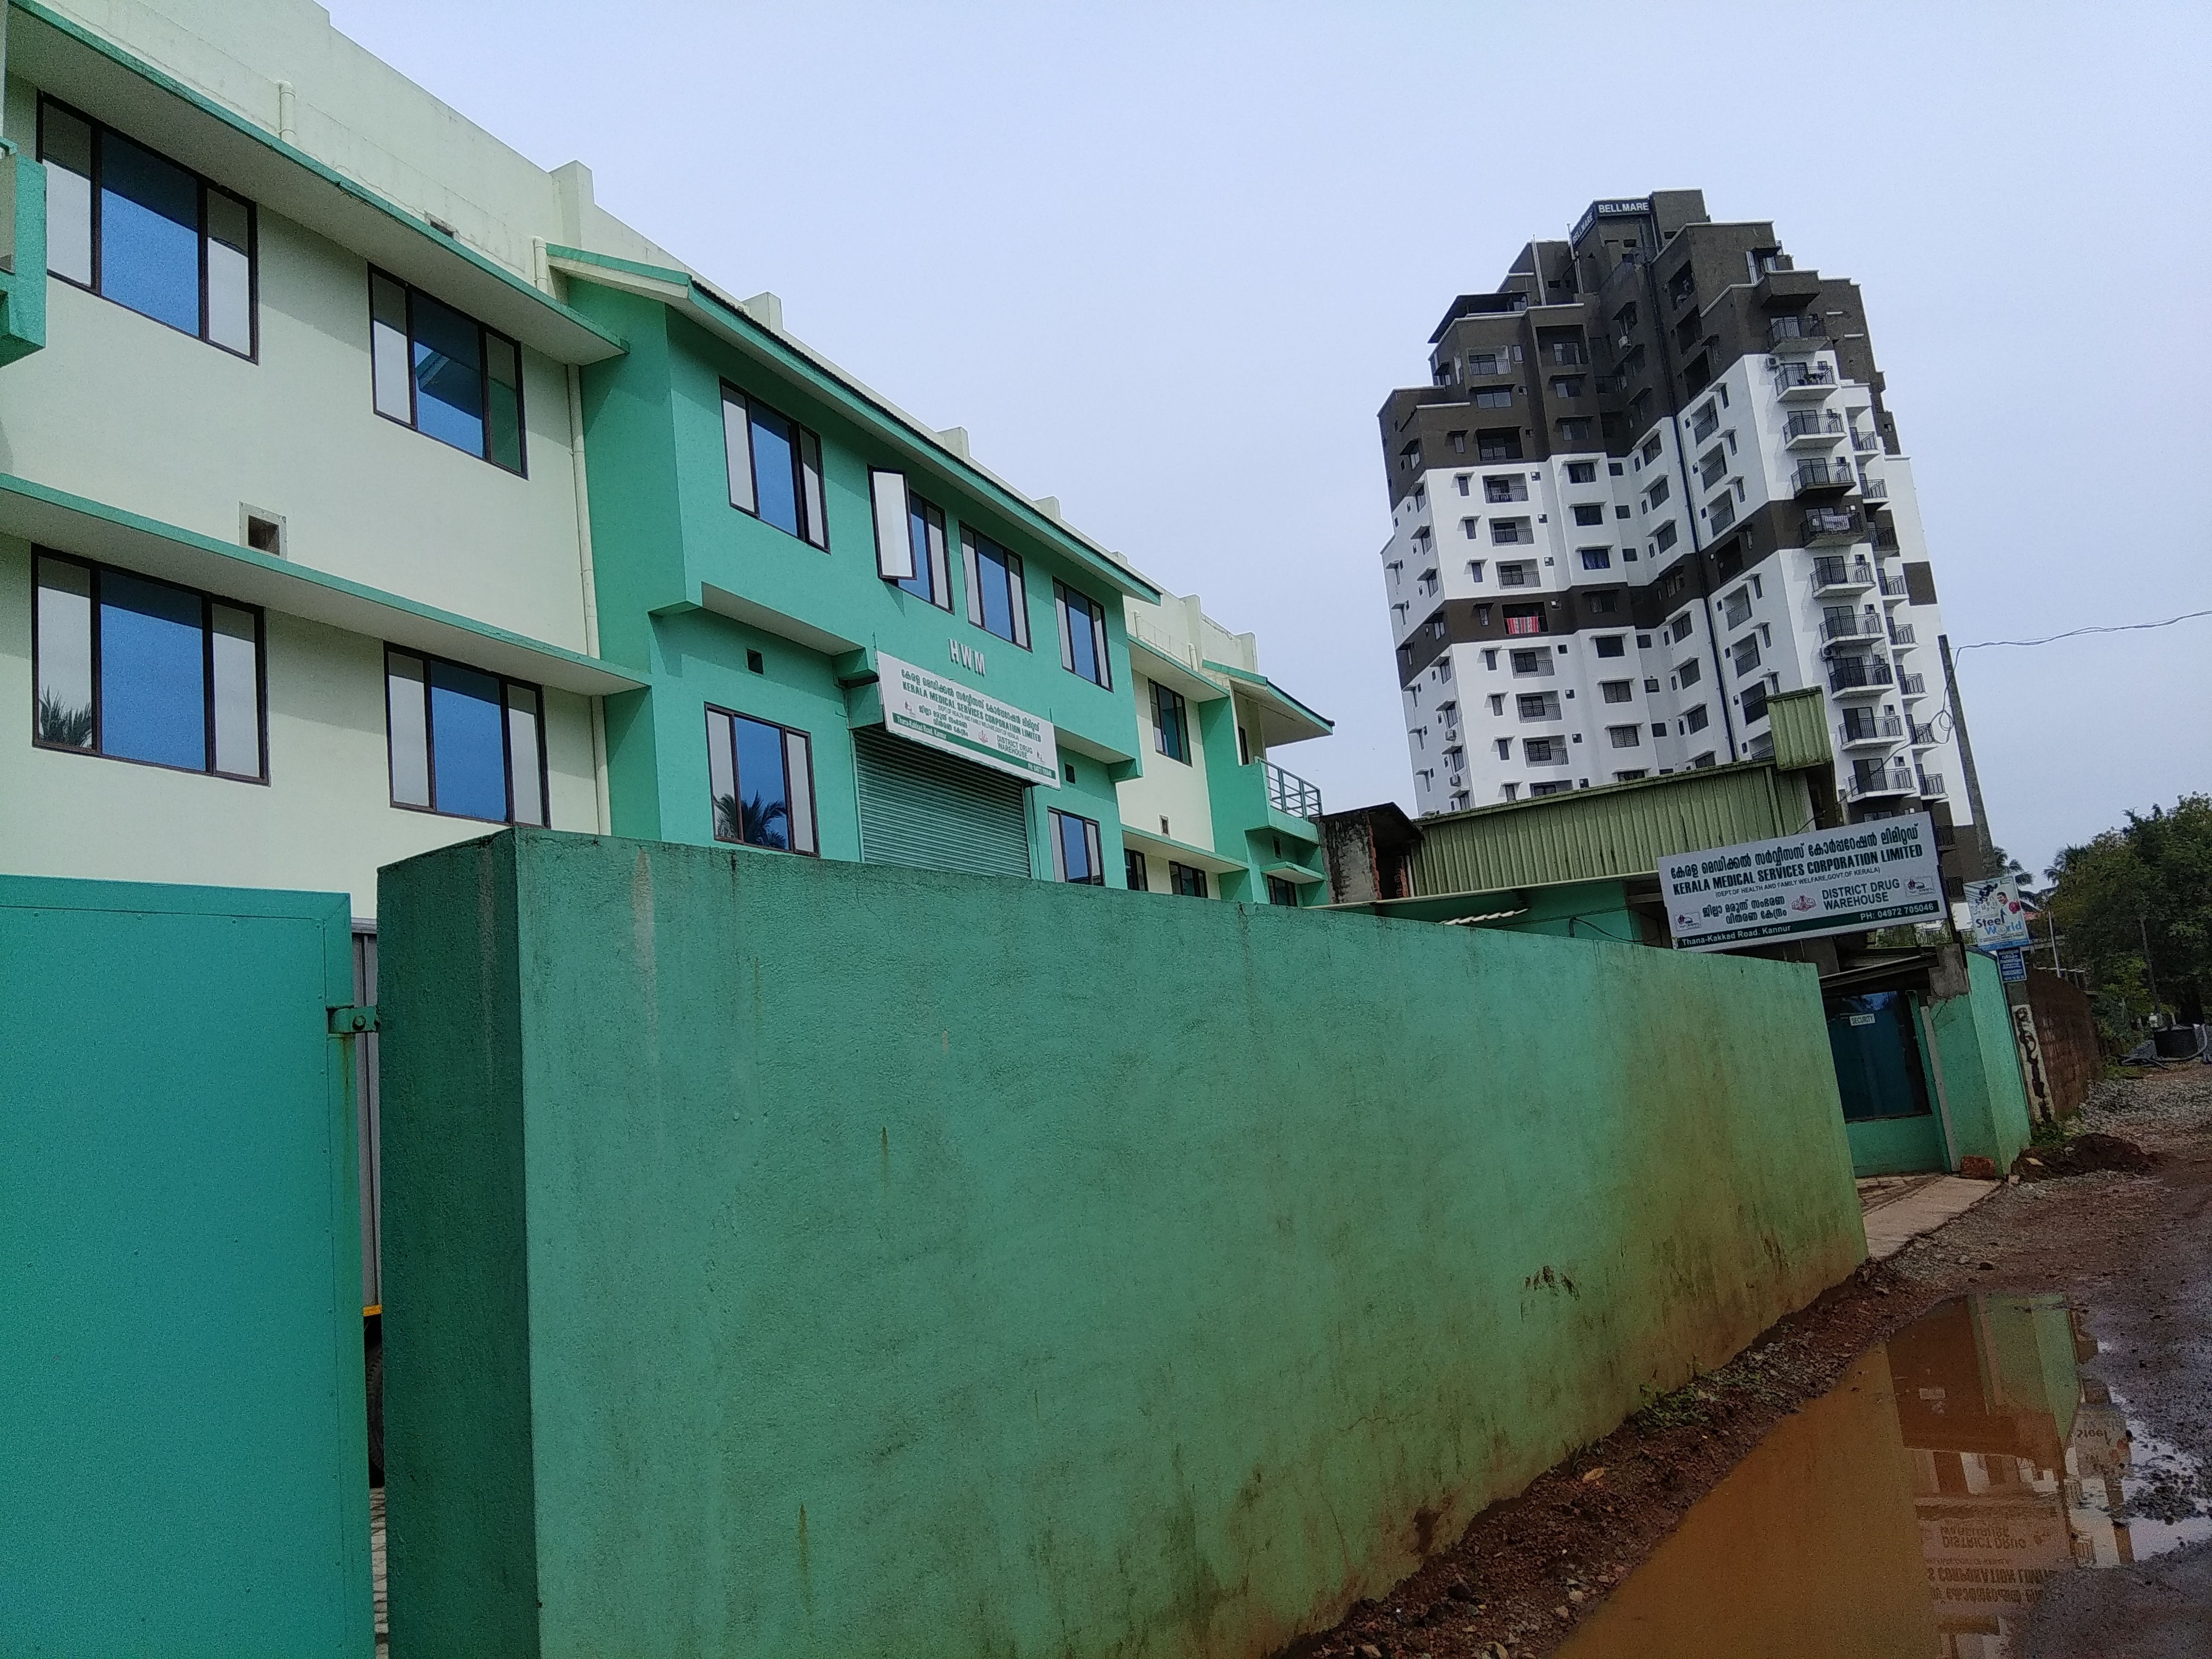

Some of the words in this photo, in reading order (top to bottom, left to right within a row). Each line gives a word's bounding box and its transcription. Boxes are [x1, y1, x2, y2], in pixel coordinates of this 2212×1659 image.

[947, 636, 990, 678] HWM
[896, 667, 921, 687] കേരള
[898, 677, 931, 700] KERALA
[918, 671, 956, 700] മെഡിക്കൽ
[916, 701, 934, 717] ജില്ലാ
[930, 708, 950, 723] മരുന്ന്
[929, 716, 955, 733] വിതരണ
[928, 688, 957, 711] MEDICAL
[946, 715, 969, 732] സംഭരണ
[950, 724, 971, 740] കേന്ദ്രം
[953, 687, 987, 712] സർവ്വീസസ്
[954, 699, 986, 722] SERVICES
[982, 711, 1023, 738] CORPORATION
[984, 702, 1023, 725] കോർഗറേഷൻ
[995, 733, 1021, 751] DISTRICT
[994, 741, 1031, 760] WAREHOUSE
[1017, 742, 1035, 756] DRUG
[1019, 715, 1042, 735] ലിമിറ്റഡ്
[1020, 725, 1042, 745] LIMITED
[1876, 819, 1920, 847] ലിമിറ്റഡ്
[1666, 860, 1700, 881] കേരള
[1669, 876, 1714, 897] KERALA
[1698, 900, 1723, 920] ജില്ലാ
[1713, 887, 1735, 901] (DEPT.
[1698, 849, 1754, 875] ദെഡിക്കൽ
[1711, 869, 1757, 891] MEDICAL
[1730, 886, 1742, 898] OF
[1720, 896, 1752, 915] മരുന്ന്
[1722, 908, 1759, 927] വിതരണ
[1739, 882, 1765, 896] HEALTH
[1749, 893, 1787, 911] സംഭരണ
[1761, 881, 1779, 892] AND
[1757, 904, 1789, 920] കേന്ദ്രം
[1752, 860, 1807, 883] SERVICES
[1753, 839, 1808, 869] സർവ്വിസസ്
[1774, 878, 1799, 891] FAMILY
[1795, 873, 1828, 887] WELFARE
[1825, 870, 1847, 881] GOVT.
[1804, 849, 1881, 877] CORPORATION
[1807, 828, 1880, 859] കോർപ്പറേഷൻ
[1820, 881, 1869, 901] DISTRICT
[1842, 868, 1853, 881] OF
[1819, 890, 1890, 911] WAREHOUSE
[1851, 864, 1881, 878] KERALA)
[1868, 875, 1903, 894] DRUG
[1878, 841, 1924, 864] LIMITED
[1678, 934, 1706, 948] Thana
[1704, 929, 1737, 943] Kakkad
[1735, 925, 1759, 941] Road
[1759, 923, 1794, 935] Kannur